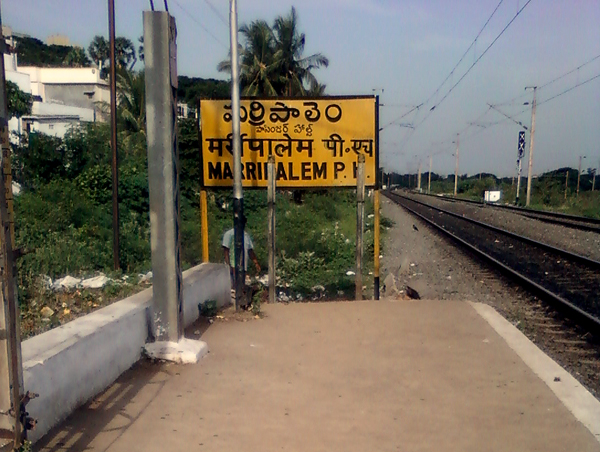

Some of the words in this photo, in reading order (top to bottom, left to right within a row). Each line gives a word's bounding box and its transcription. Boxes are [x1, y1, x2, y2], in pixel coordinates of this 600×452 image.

[198, 128, 321, 161] मर्रीपालेम
[251, 115, 295, 135] పాసంజర్
[216, 94, 347, 129] మర్రిపాలెం
[287, 116, 317, 139] హాల్ద్
[314, 122, 378, 160] पी.एच
[202, 156, 333, 185] MARRINALEM